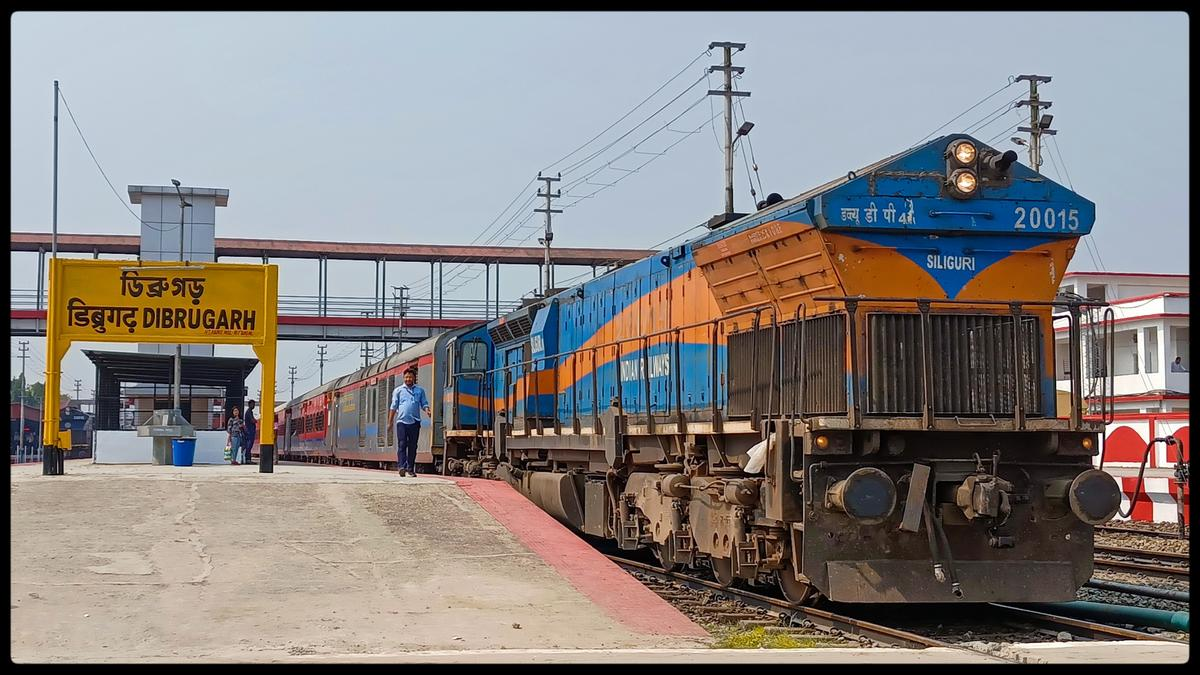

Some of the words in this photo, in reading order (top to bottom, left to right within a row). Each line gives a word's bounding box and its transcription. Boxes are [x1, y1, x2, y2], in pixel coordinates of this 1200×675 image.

[837, 197, 905, 227] डब्ल्यू डी पी 4
[1012, 203, 1080, 232] 20015
[923, 250, 980, 275] SILIGURI
[109, 261, 218, 309] ডিব্ৰুগড়
[57, 288, 146, 337] डिब्रुगढ़
[138, 297, 263, 333] DIBRUGARH